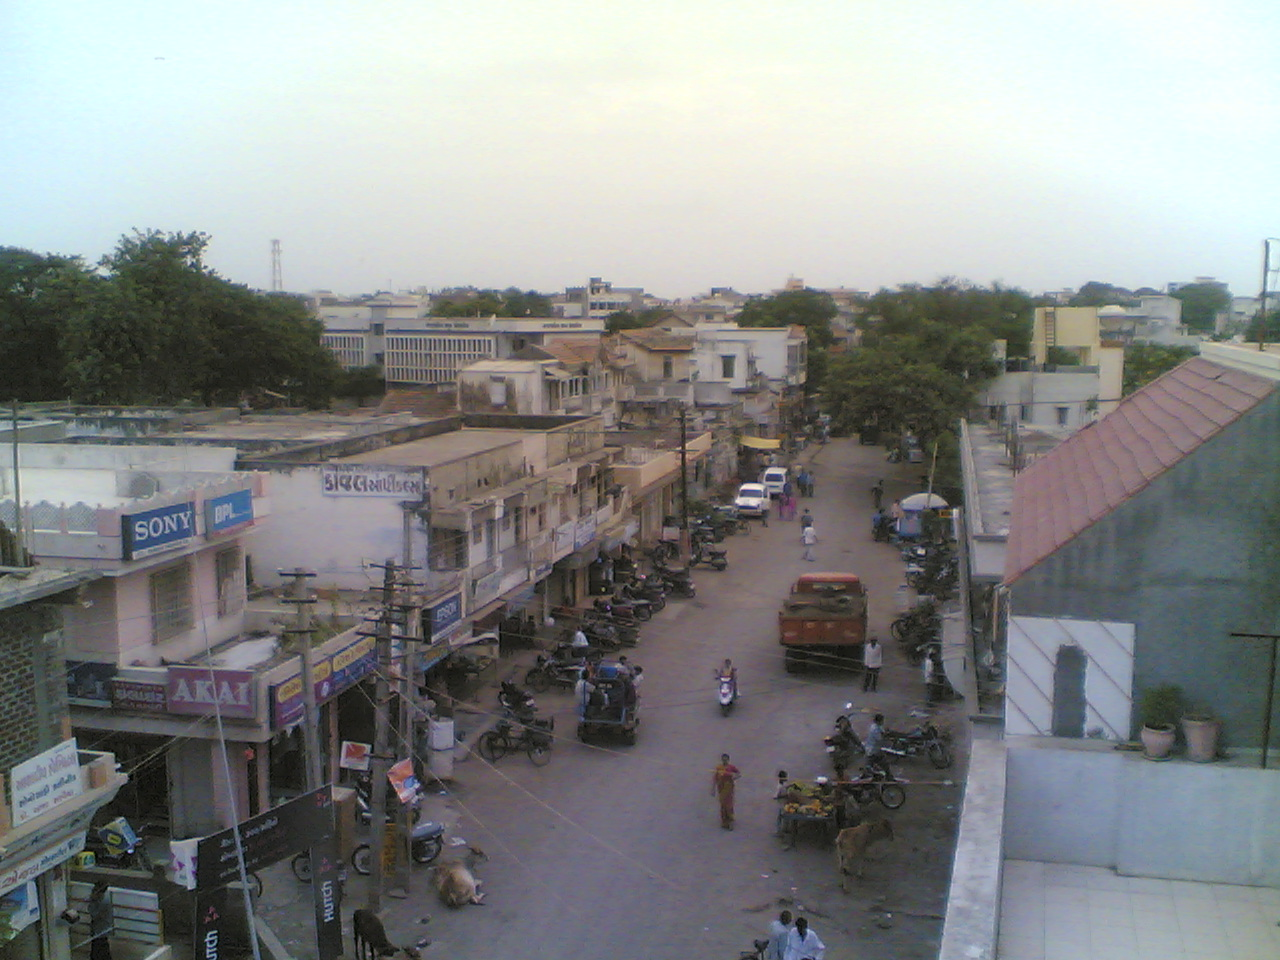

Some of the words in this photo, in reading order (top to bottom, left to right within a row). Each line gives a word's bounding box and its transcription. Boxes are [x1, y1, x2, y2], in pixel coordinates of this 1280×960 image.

[321, 470, 370, 496] કાજલ
[128, 505, 194, 544] SONY
[212, 499, 237, 527] BPL
[169, 676, 253, 709] AKAI